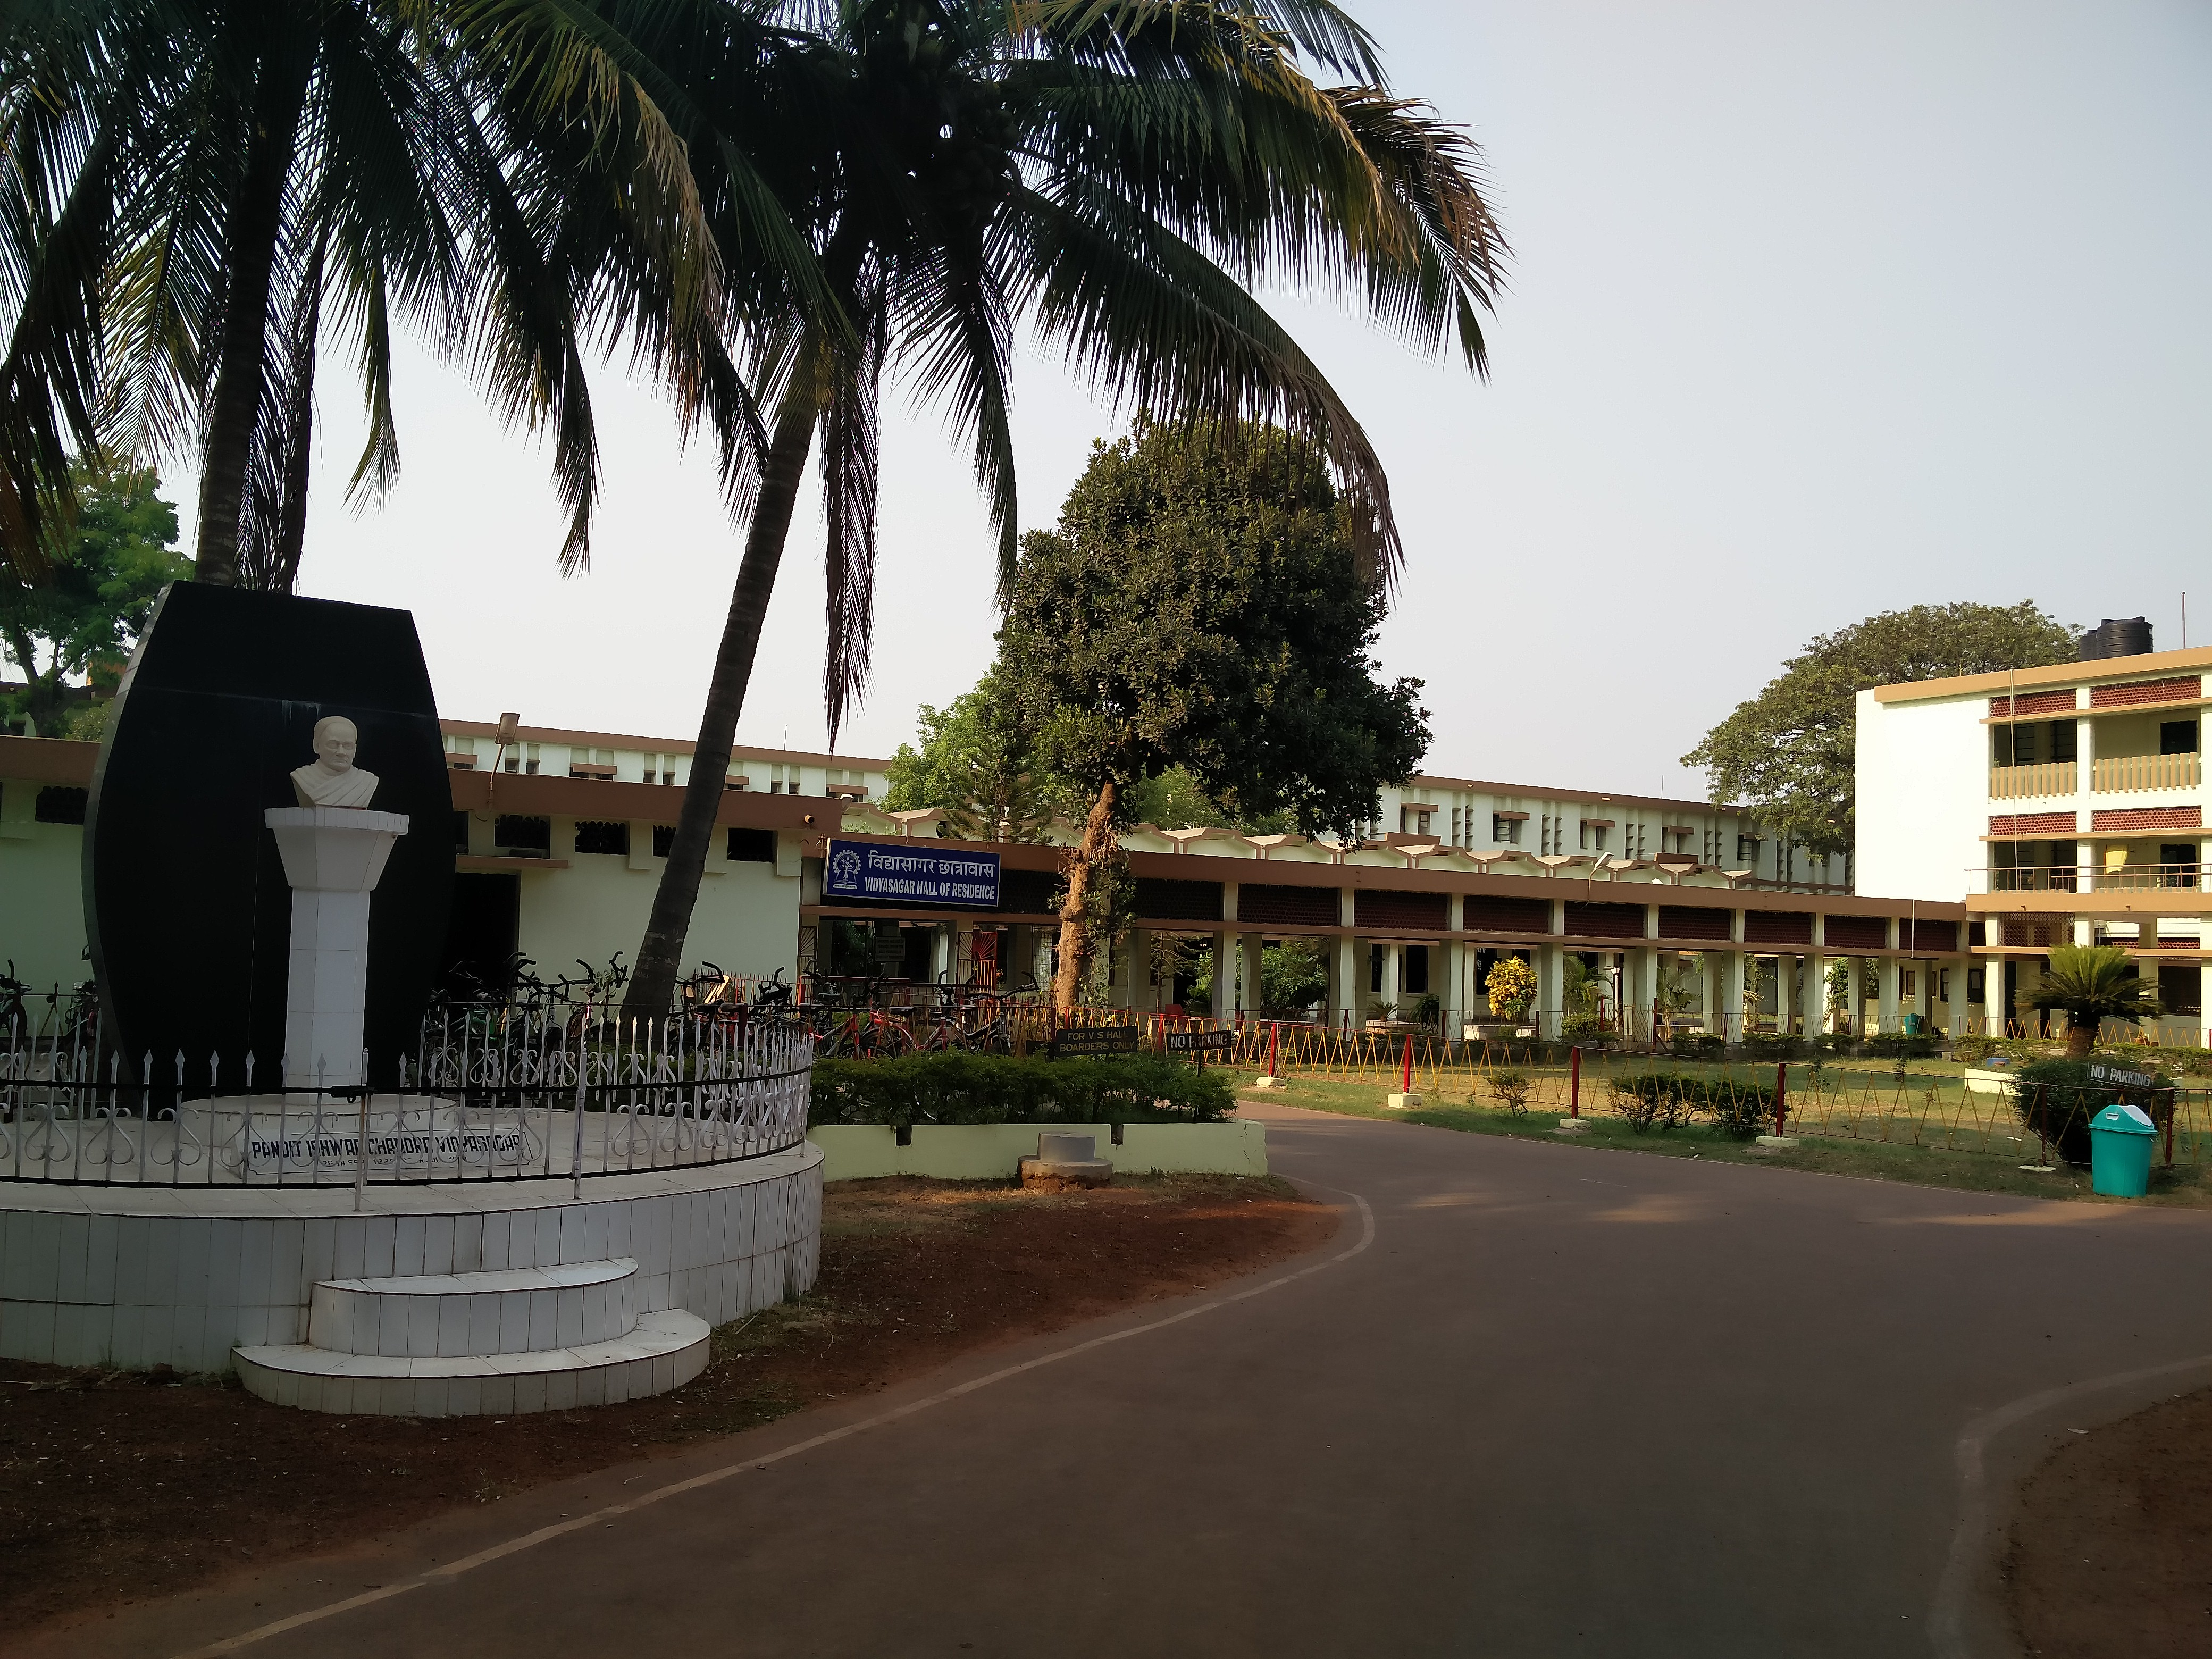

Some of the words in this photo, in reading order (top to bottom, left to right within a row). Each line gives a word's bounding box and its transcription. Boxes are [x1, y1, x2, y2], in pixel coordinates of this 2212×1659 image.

[866, 846, 937, 874] विद्यासागर
[939, 859, 996, 880] छात्रावास
[864, 876, 915, 894] VIDYASAGAR
[916, 880, 939, 897] HALL
[937, 881, 951, 898] OF
[950, 881, 996, 901] RESIDENCE
[1066, 1031, 1086, 1041] FOR
[1059, 1041, 1110, 1053] BOARDERS
[1086, 1030, 1104, 1041] VS
[1105, 1030, 1129, 1040] HALL
[1110, 1041, 1136, 1051] ONLY
[1170, 1035, 1187, 1049] NO
[1189, 1033, 1229, 1048] PARKING
[2089, 1064, 2106, 1079] NO
[2108, 1067, 2153, 1090] PARKING
[251, 1138, 303, 1159] PANDIT
[304, 1135, 435, 1157] ISHWARCHANDRA